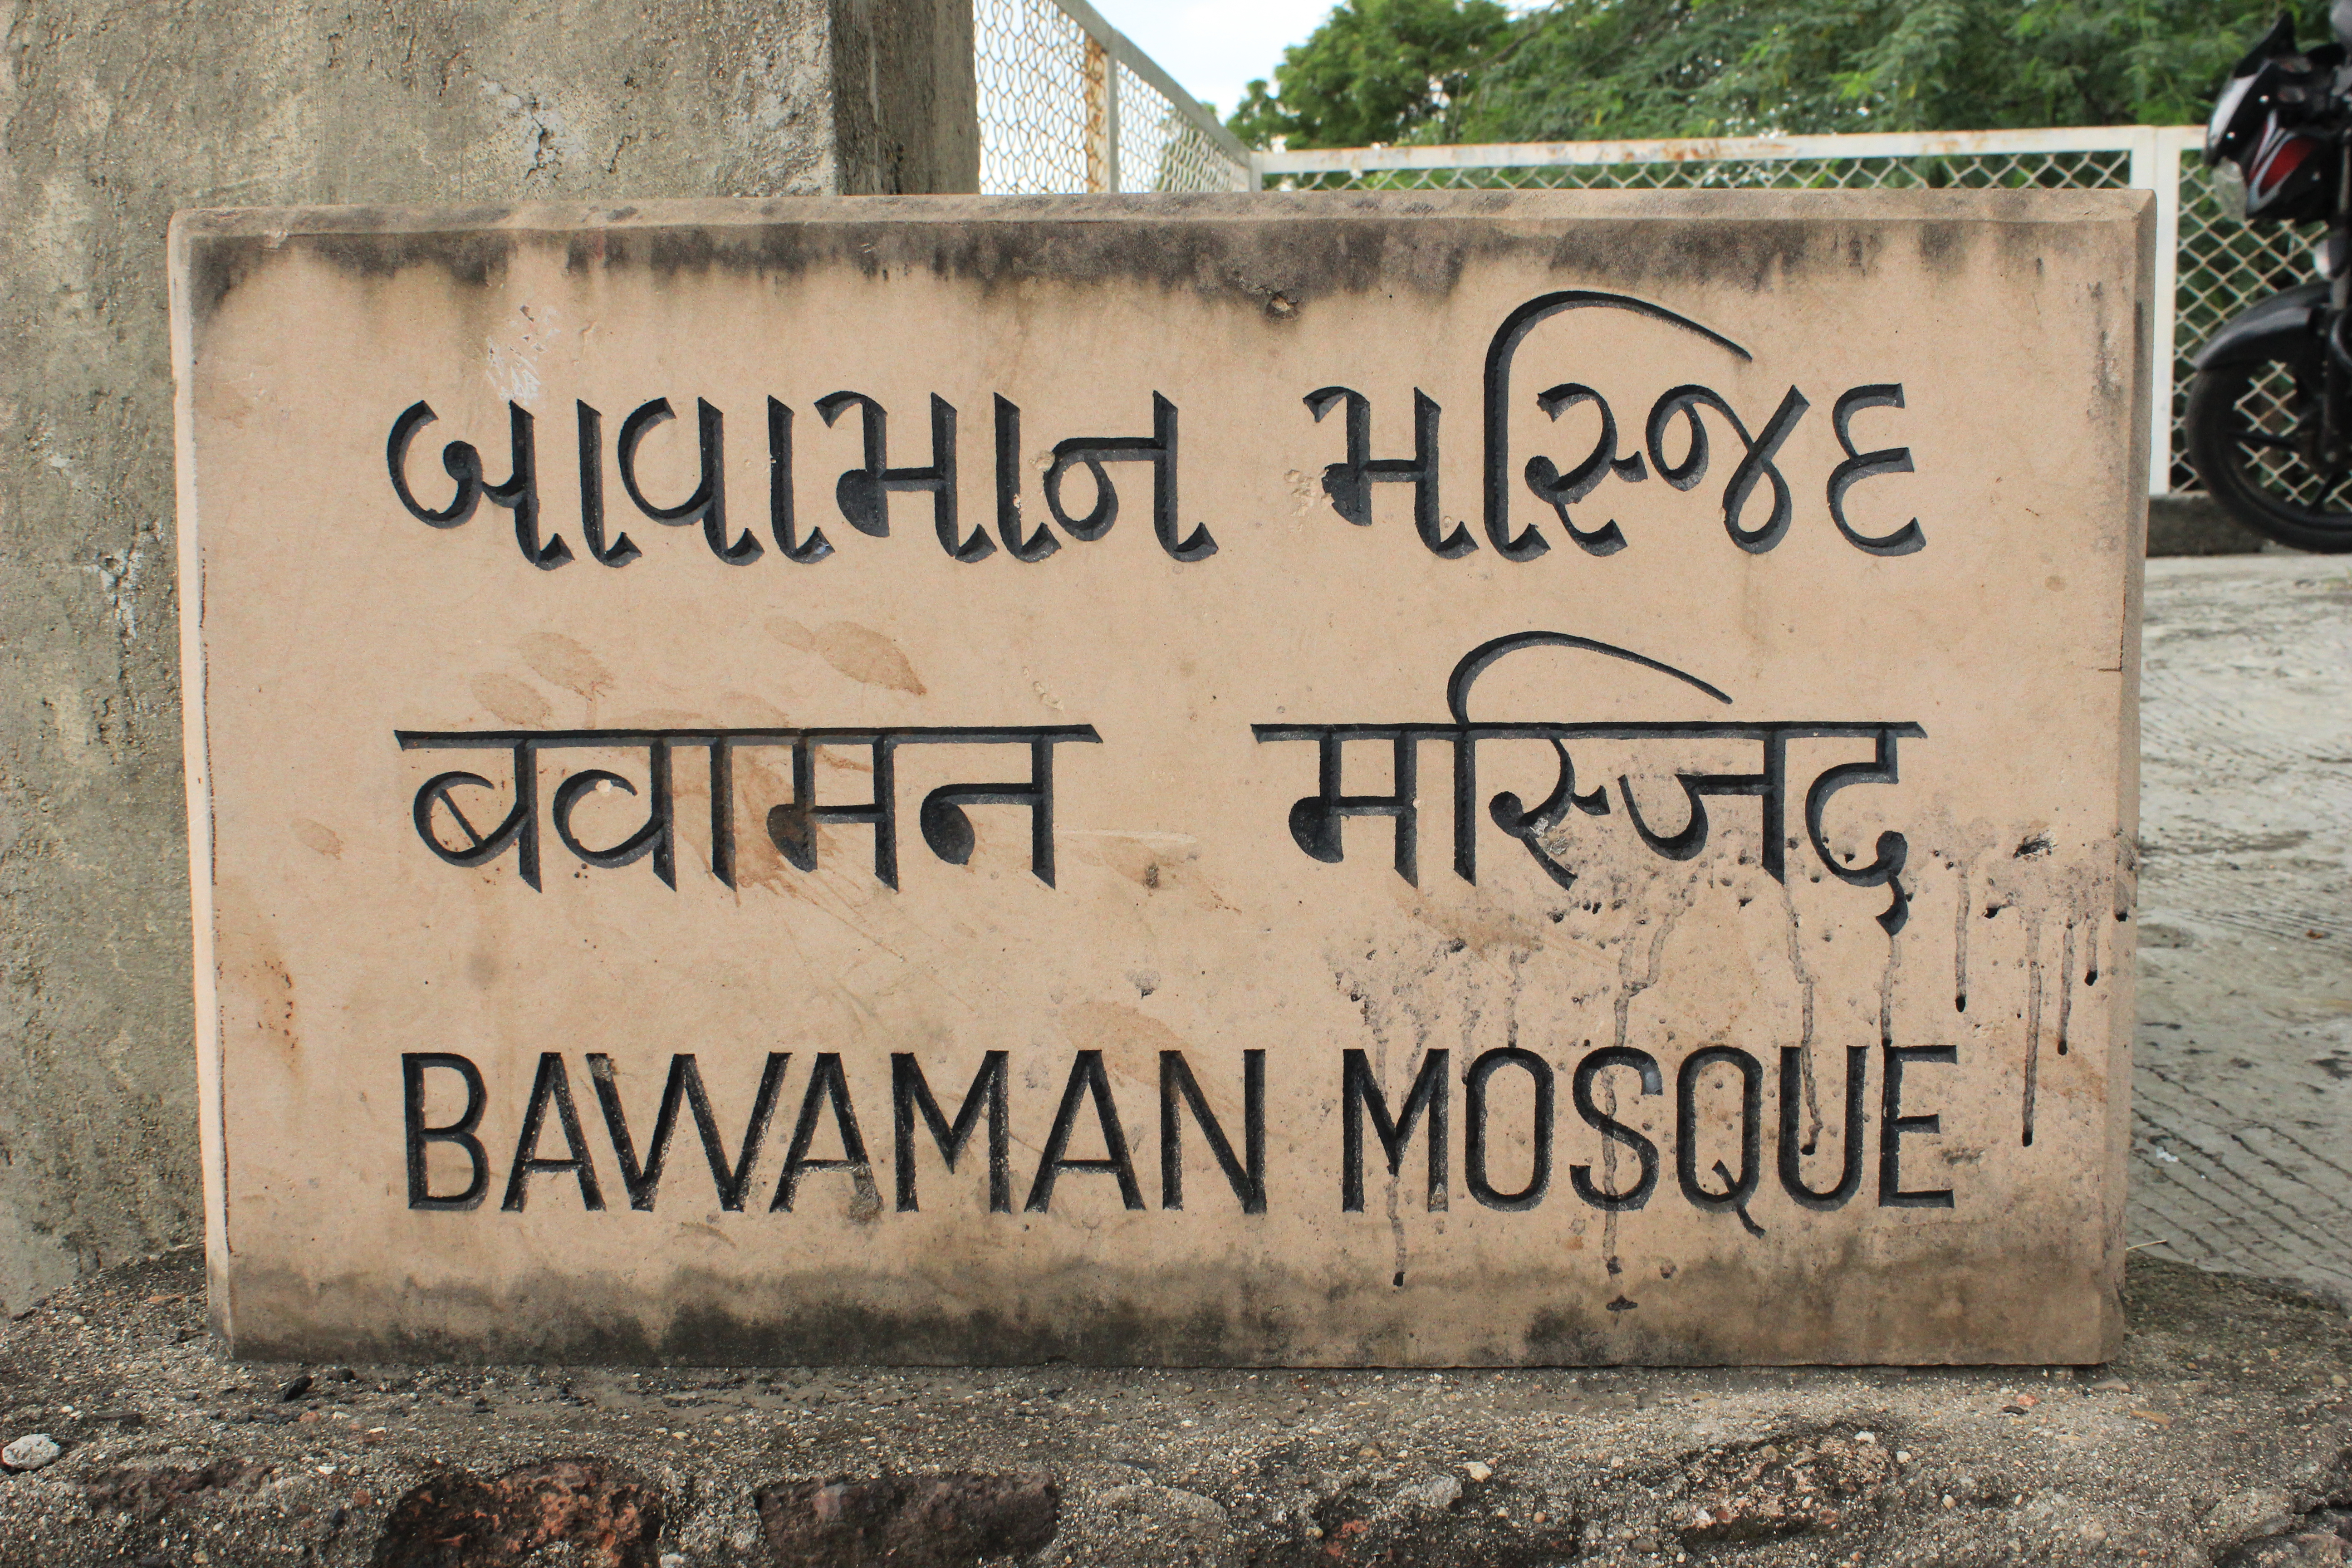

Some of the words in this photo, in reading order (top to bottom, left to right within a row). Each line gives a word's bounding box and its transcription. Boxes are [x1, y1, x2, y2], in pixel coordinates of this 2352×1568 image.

[373, 377, 1228, 587] બાવામન
[1288, 280, 1949, 583] મસ્જિદ
[367, 715, 1117, 922] बवामन
[1227, 617, 1937, 951] मस्जिद
[374, 1034, 1279, 1226] BAWAMAN
[1326, 1036, 1973, 1224] MOSQUE